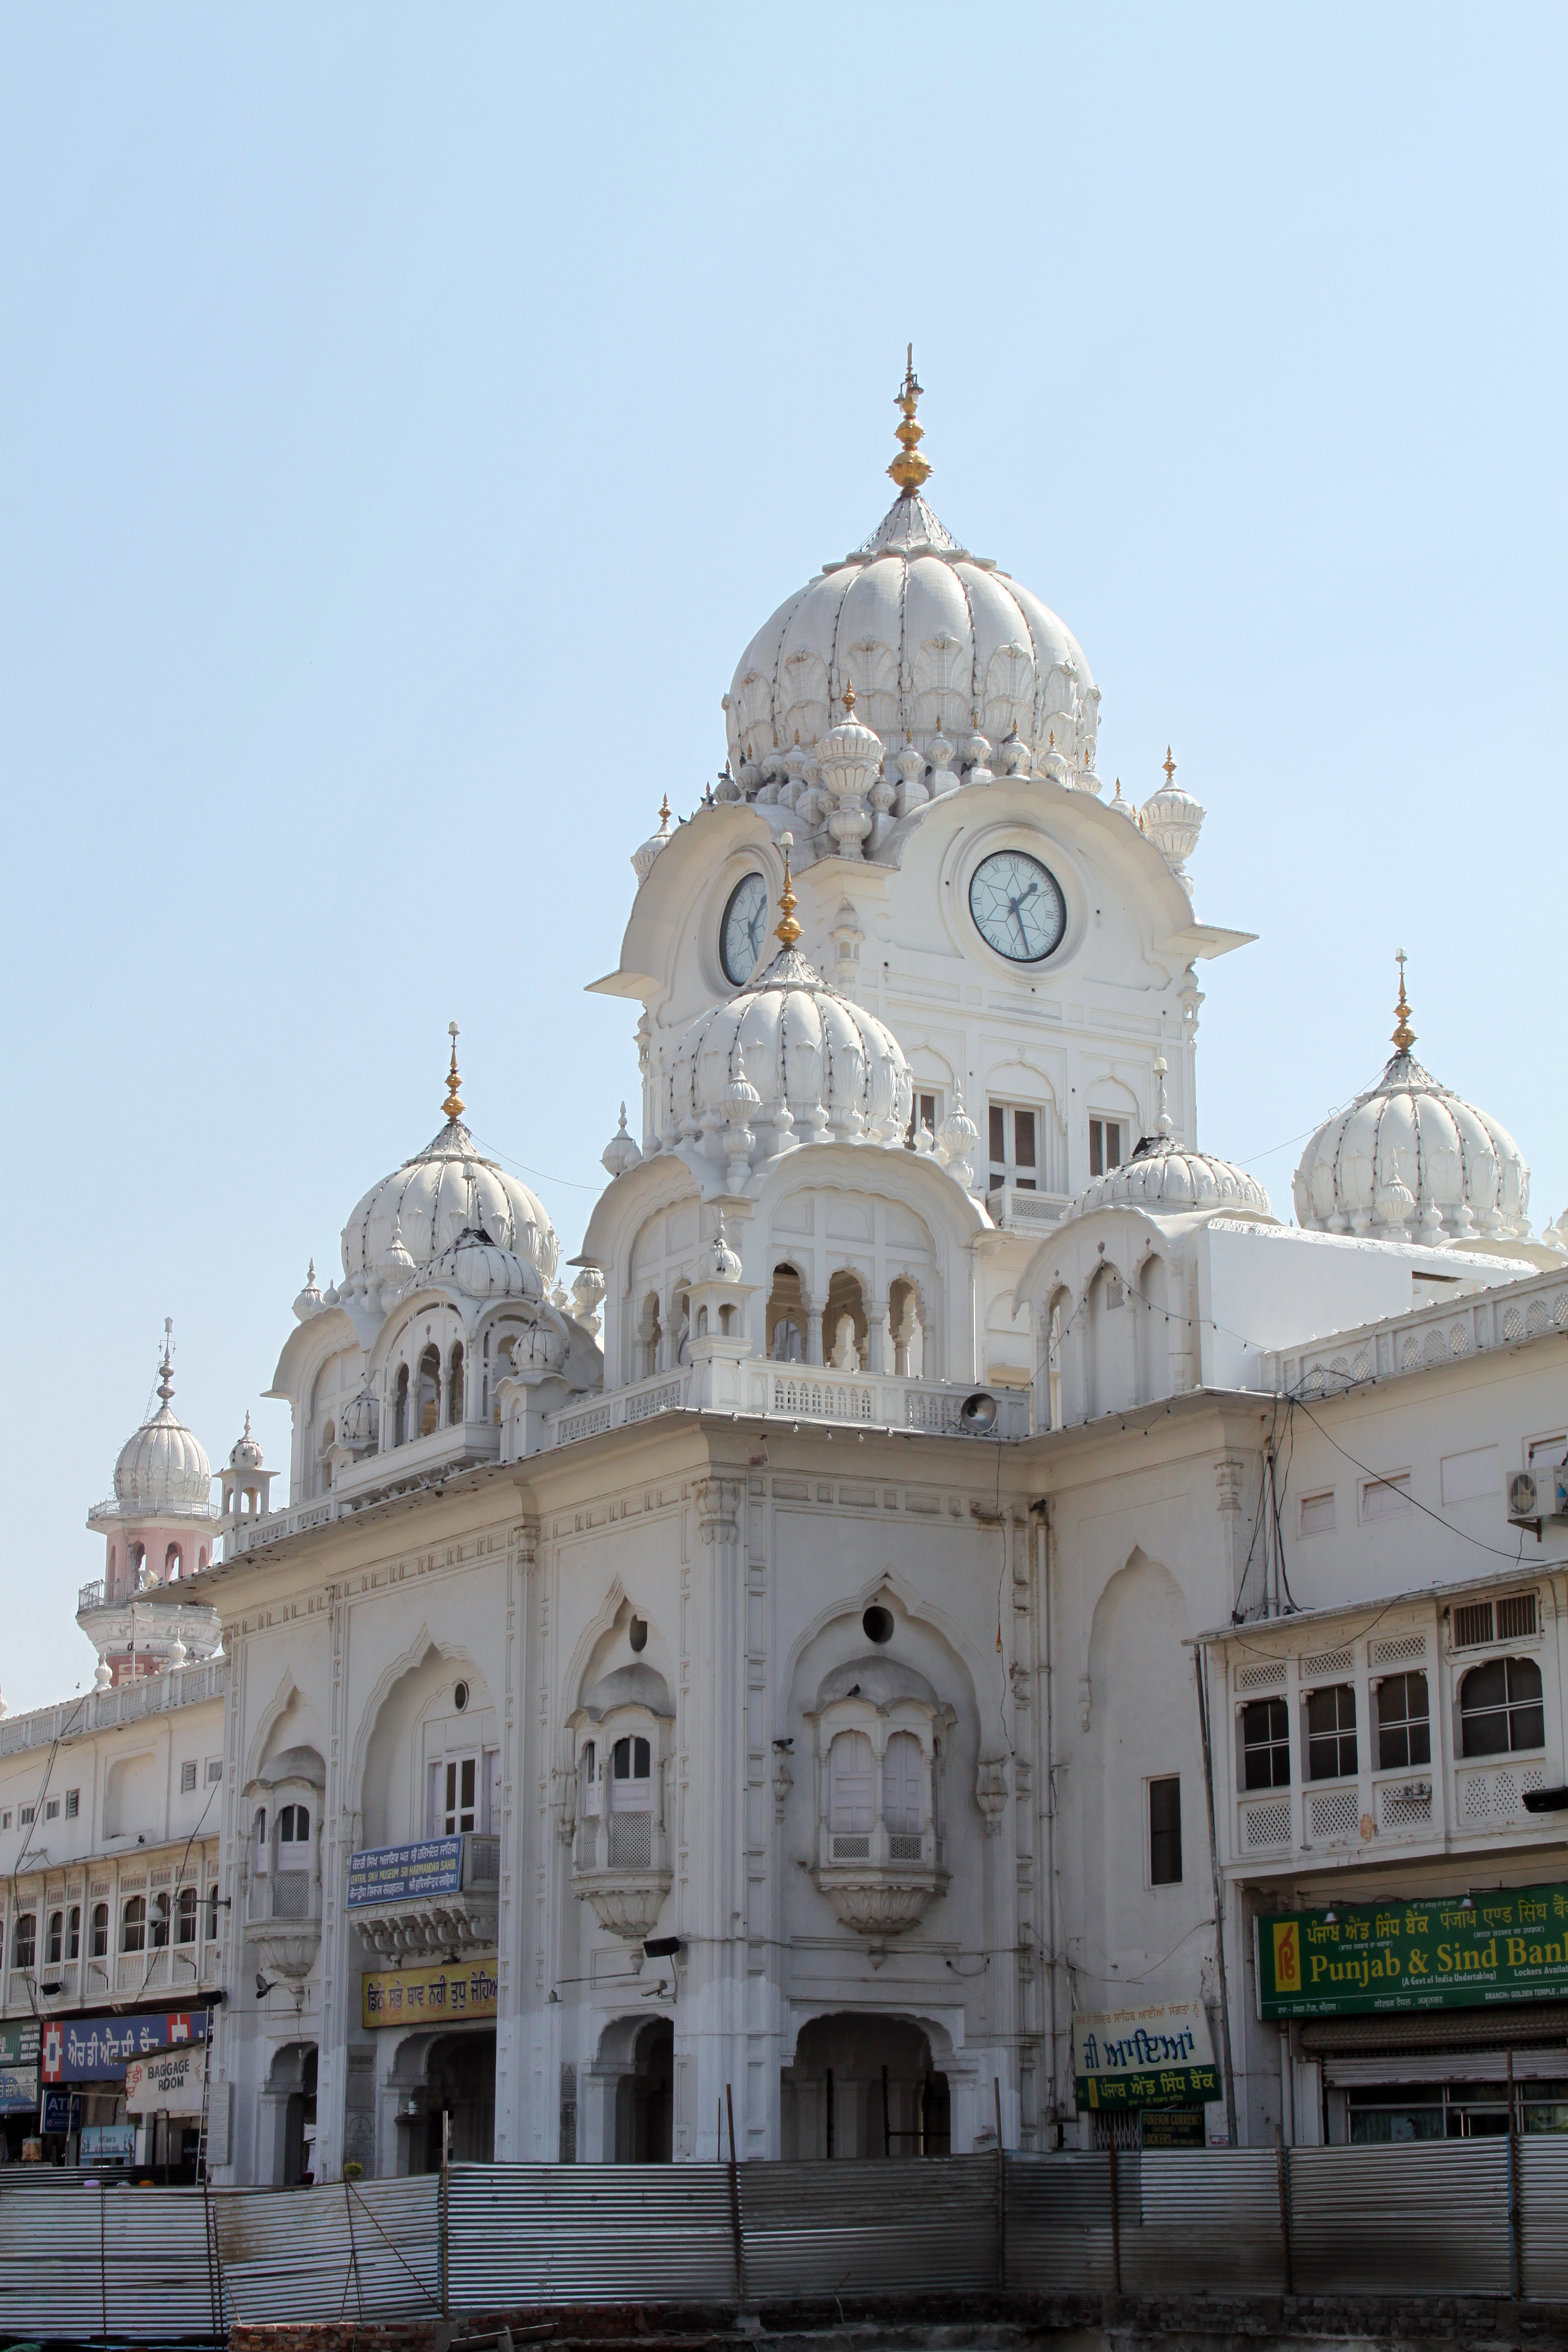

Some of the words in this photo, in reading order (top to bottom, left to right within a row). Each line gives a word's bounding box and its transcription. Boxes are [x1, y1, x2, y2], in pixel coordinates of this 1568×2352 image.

[347, 1885, 367, 1903] केंन्द्रीय
[351, 1853, 366, 1871] ਕੇਂਦਰੀ
[349, 1871, 368, 1886] CENTRAL
[366, 1853, 380, 1869] ਸਿੰਖ
[367, 1869, 379, 1883] SIKH
[367, 1883, 383, 1899] सिक्ख
[379, 1849, 399, 1866] ਅਜਾਇਬ
[379, 1866, 400, 1882] MUSEUM
[383, 1879, 406, 1897] संग्रहालय
[399, 1848, 409, 1863] ਘਰ
[400, 1863, 409, 1879] SRI
[406, 1875, 416, 1893] श्री
[408, 1846, 418, 1863] ਸ੍ਰੀ
[408, 1860, 440, 1876] HARMANDAR
[414, 1874, 440, 1893] हरिमन्दिर
[416, 1841, 440, 1862] ਹਰਿਮਂਦਰ
[439, 1871, 457, 1889] साहिब।
[440, 1839, 459, 1857] ਸਾਹਿਬ1
[440, 1857, 459, 1872] SAHIB.
[1304, 1917, 1344, 1947] ਪੰਜਾਬ
[1343, 1913, 1373, 1942] ਐਂਡ
[1372, 1909, 1404, 1939] ਸਿੰਧ
[1402, 1907, 1432, 1937] ਬੈਂਕ
[1436, 1906, 1483, 1933] पंजाब
[1480, 1903, 1519, 1929] एण्ड
[1516, 1896, 1550, 1925] सिंध
[363, 1979, 388, 2015] ਡਿਠੇ
[386, 1978, 407, 2015] ਸਭੇ
[405, 1984, 425, 2009] ਥਾਵ
[426, 1972, 449, 2011] ਨਹੀ
[449, 1976, 468, 2013] ਤੁਧੁ
[468, 1967, 498, 2005] ਜੇਹਿਅ
[1112, 2008, 1137, 2026] ਸਾਹਿਬ
[1135, 2002, 1168, 2023] ਆਈਆਂ
[1168, 1998, 1191, 2019] ਸੰਗਤਾਂ
[1191, 1997, 1203, 2021] ਨੂੰ
[1307, 1946, 1404, 1990] Punjab
[1372, 1996, 1396, 2010] गोल्डन
[1394, 1994, 1413, 2008] ਟੈਂਧਲ
[1403, 1975, 1410, 1986] A
[1403, 1946, 1432, 1975] &
[1409, 1975, 1427, 1985] Govt
[1414, 1994, 1446, 2009] अमृतसर
[1426, 1973, 1435, 1984] of
[1434, 1973, 1453, 1984] India
[1430, 1937, 1502, 1973] Sind
[1452, 1970, 1496, 1982] Undertaking)
[1481, 1988, 1507, 2001] BRANCH
[1509, 1988, 1533, 1999] GOLDEN
[1511, 1966, 1543, 1978] Lockers
[1504, 1936, 1563, 1967] Ban
[1533, 1986, 1557, 1997] TEMPLE
[1543, 1964, 1568, 1975] Availab
[64, 2028, 88, 2068] ਐੇਰ
[86, 2027, 99, 2070] ਡੀ
[1079, 2029, 1103, 2074] ਜੀ
[1100, 2022, 1203, 2071] ਆਇਆਂ
[146, 2058, 192, 2081] 9466465
[153, 2075, 187, 2093] ROOM
[1097, 2076, 1130, 2101] ਪੰਜਾਬ
[1127, 2073, 1158, 2097] ਐਂਡ
[1157, 2069, 1189, 2094] ਸਿੰਧ
[1185, 2066, 1218, 2092] ਬੈਂਕ
[46, 2096, 82, 2113] ATM
[1142, 2112, 1171, 2126] FOREIGN
[1169, 2112, 1205, 2126] CURRENCY
[1142, 2133, 1174, 2147] LOCKERS